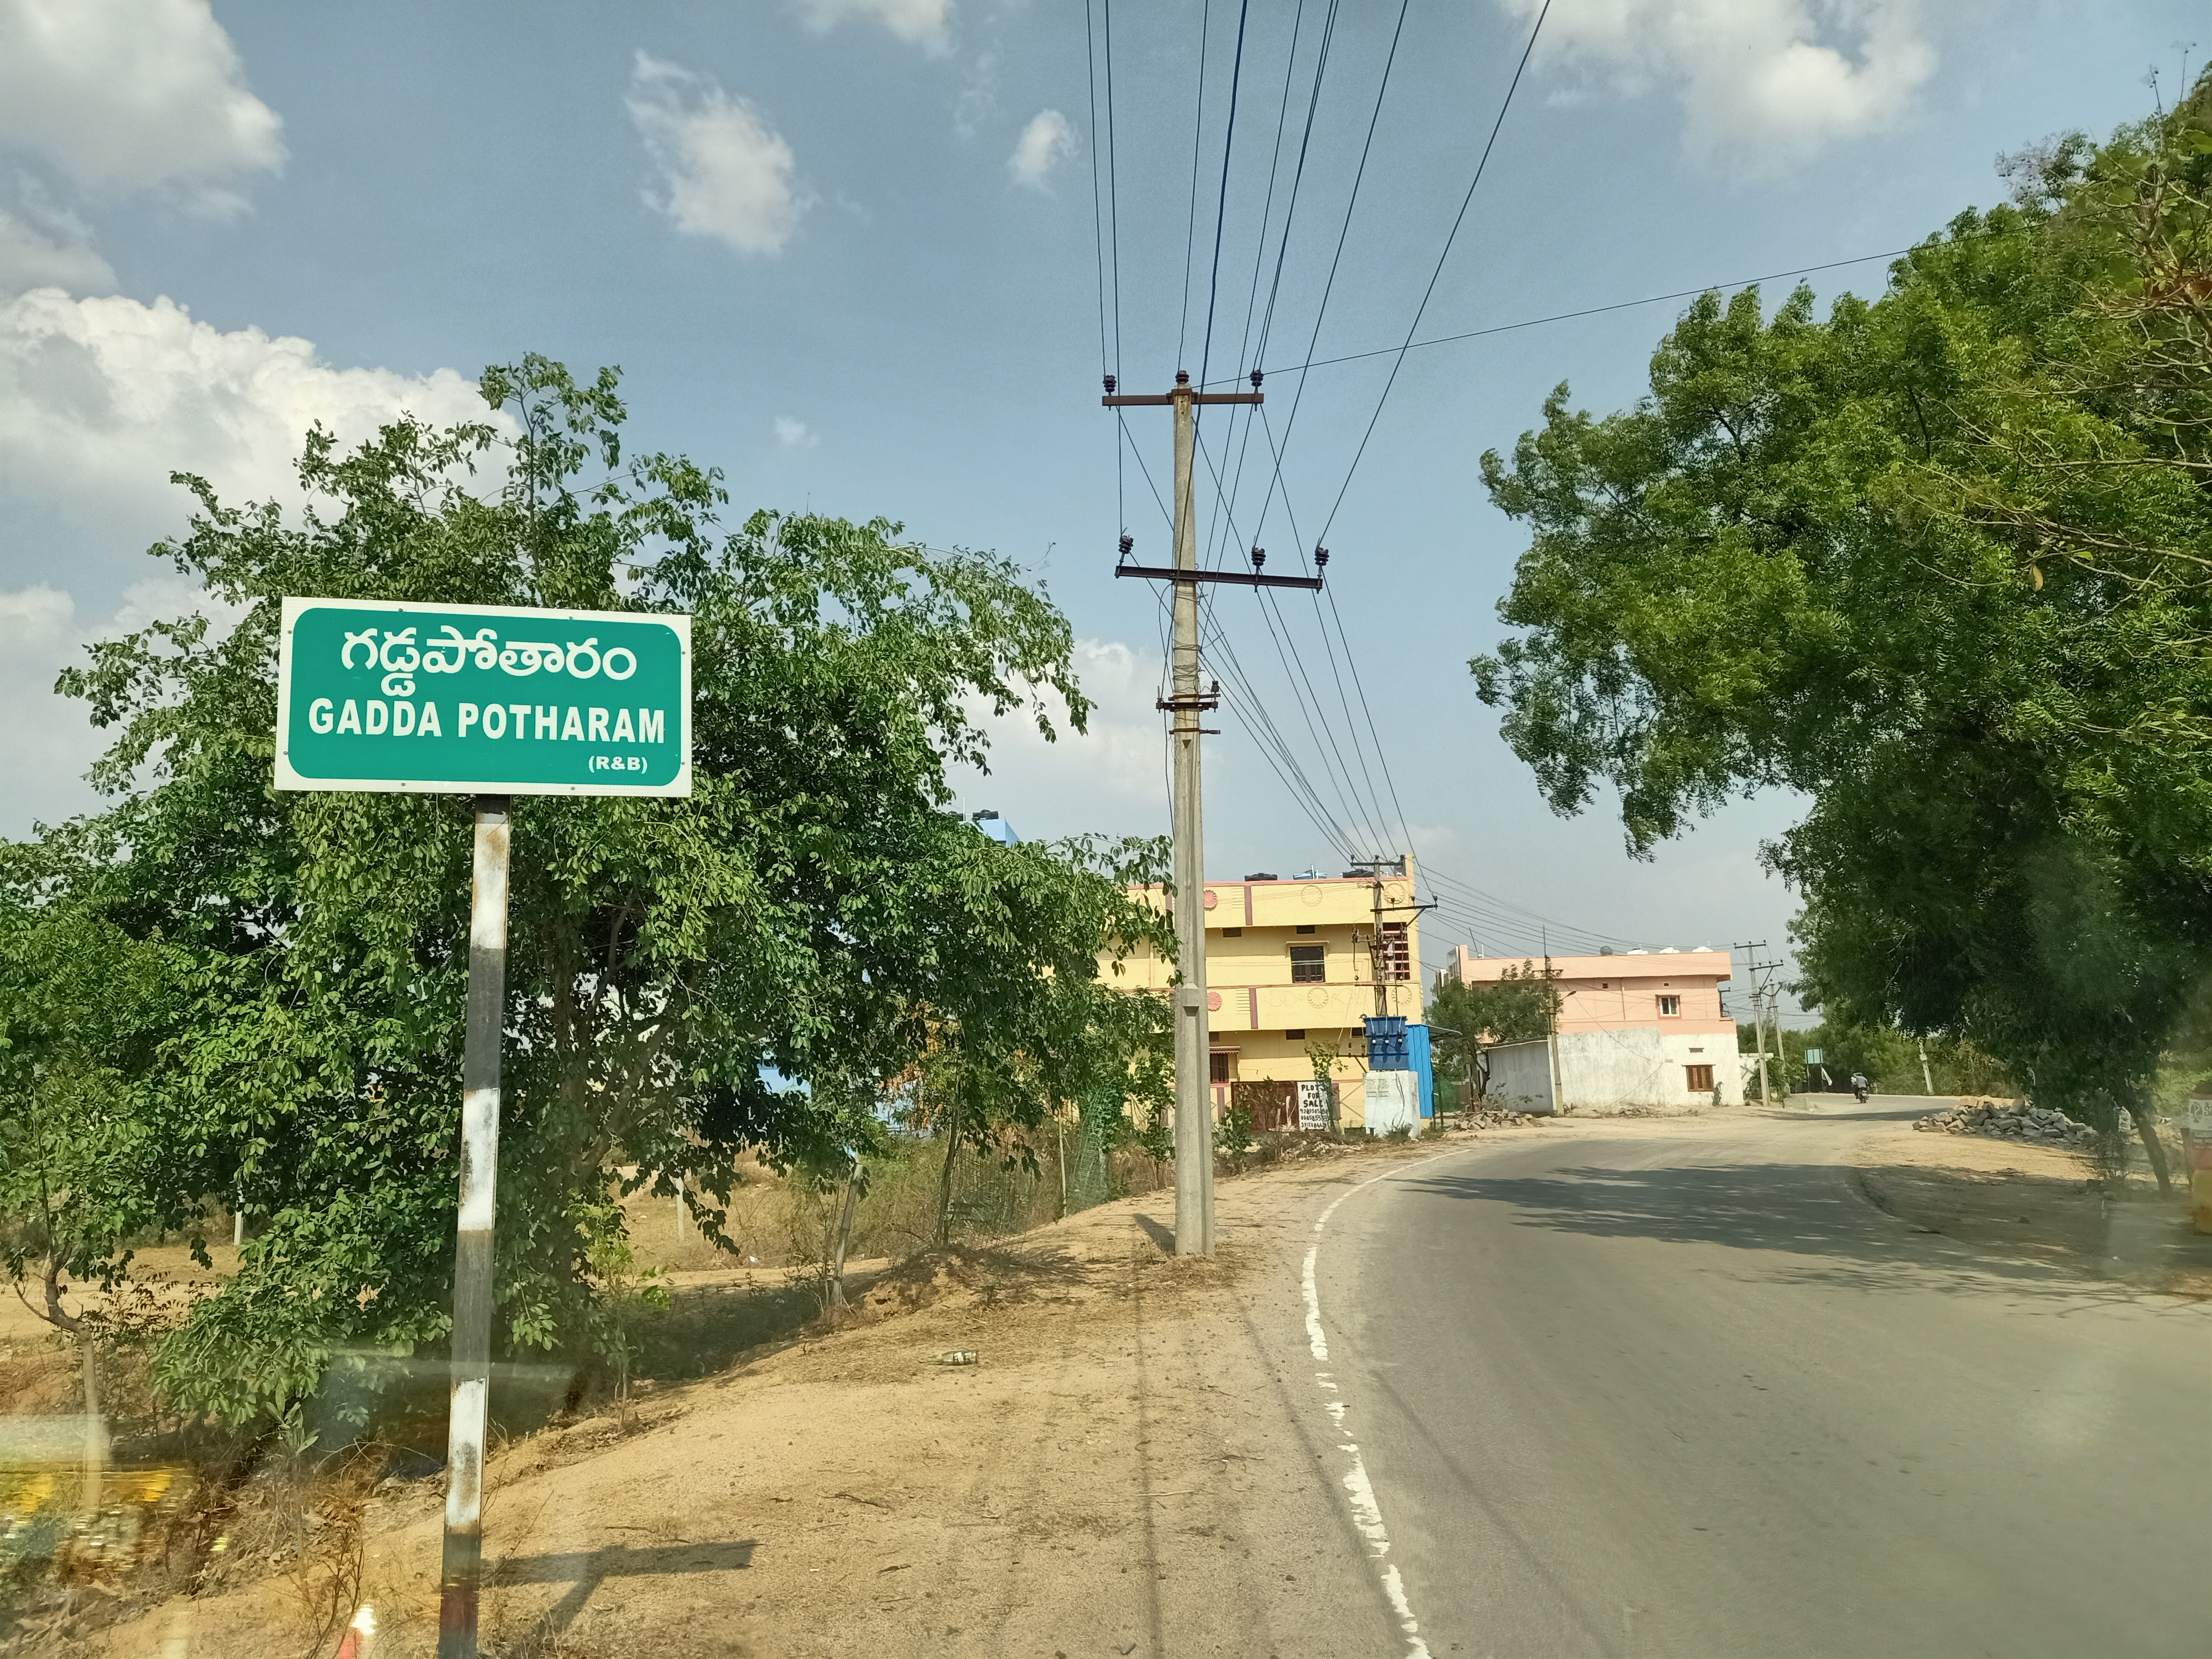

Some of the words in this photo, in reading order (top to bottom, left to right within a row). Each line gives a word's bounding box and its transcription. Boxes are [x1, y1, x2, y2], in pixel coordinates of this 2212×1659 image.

[338, 620, 644, 703] గడ్డపోతారం
[300, 689, 444, 740] GADDA
[452, 698, 670, 749] POTHARAM
[591, 749, 643, 775] R&B)